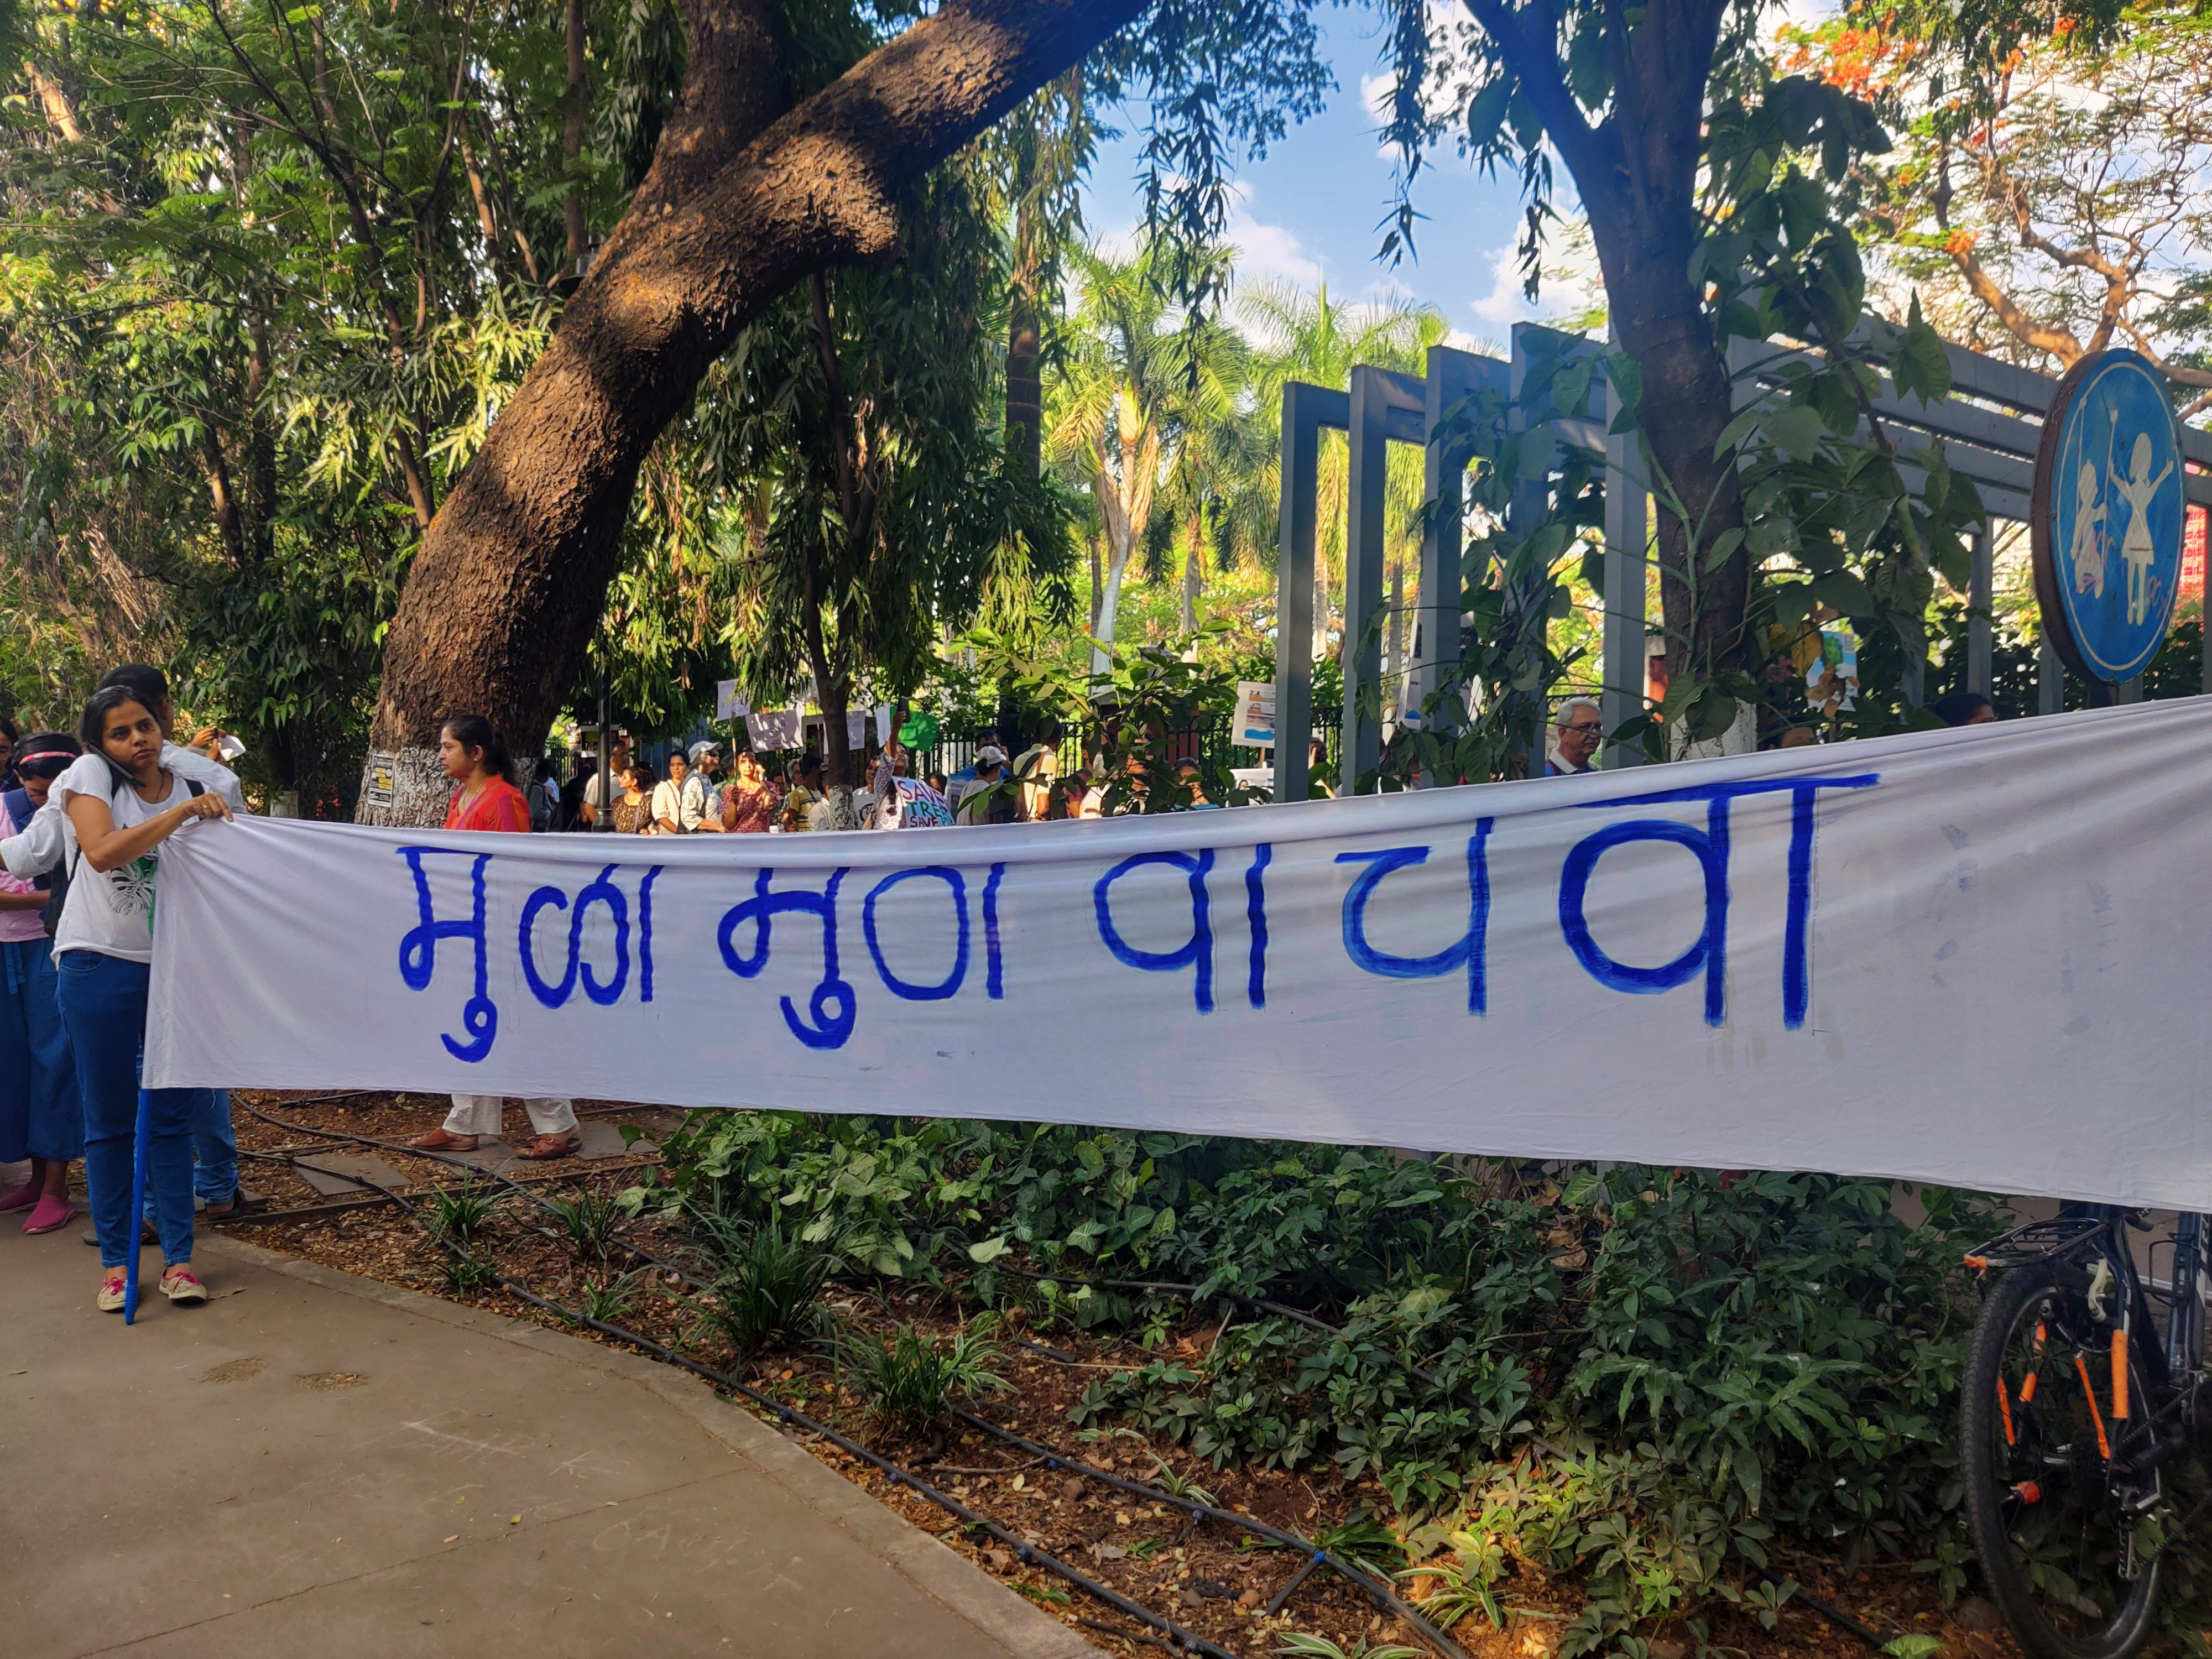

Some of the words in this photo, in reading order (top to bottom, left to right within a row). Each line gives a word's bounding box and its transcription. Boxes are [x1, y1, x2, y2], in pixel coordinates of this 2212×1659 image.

[359, 836, 689, 1081] मुळा
[697, 852, 1034, 1073] मुण
[1074, 770, 1885, 1087] वाचवा